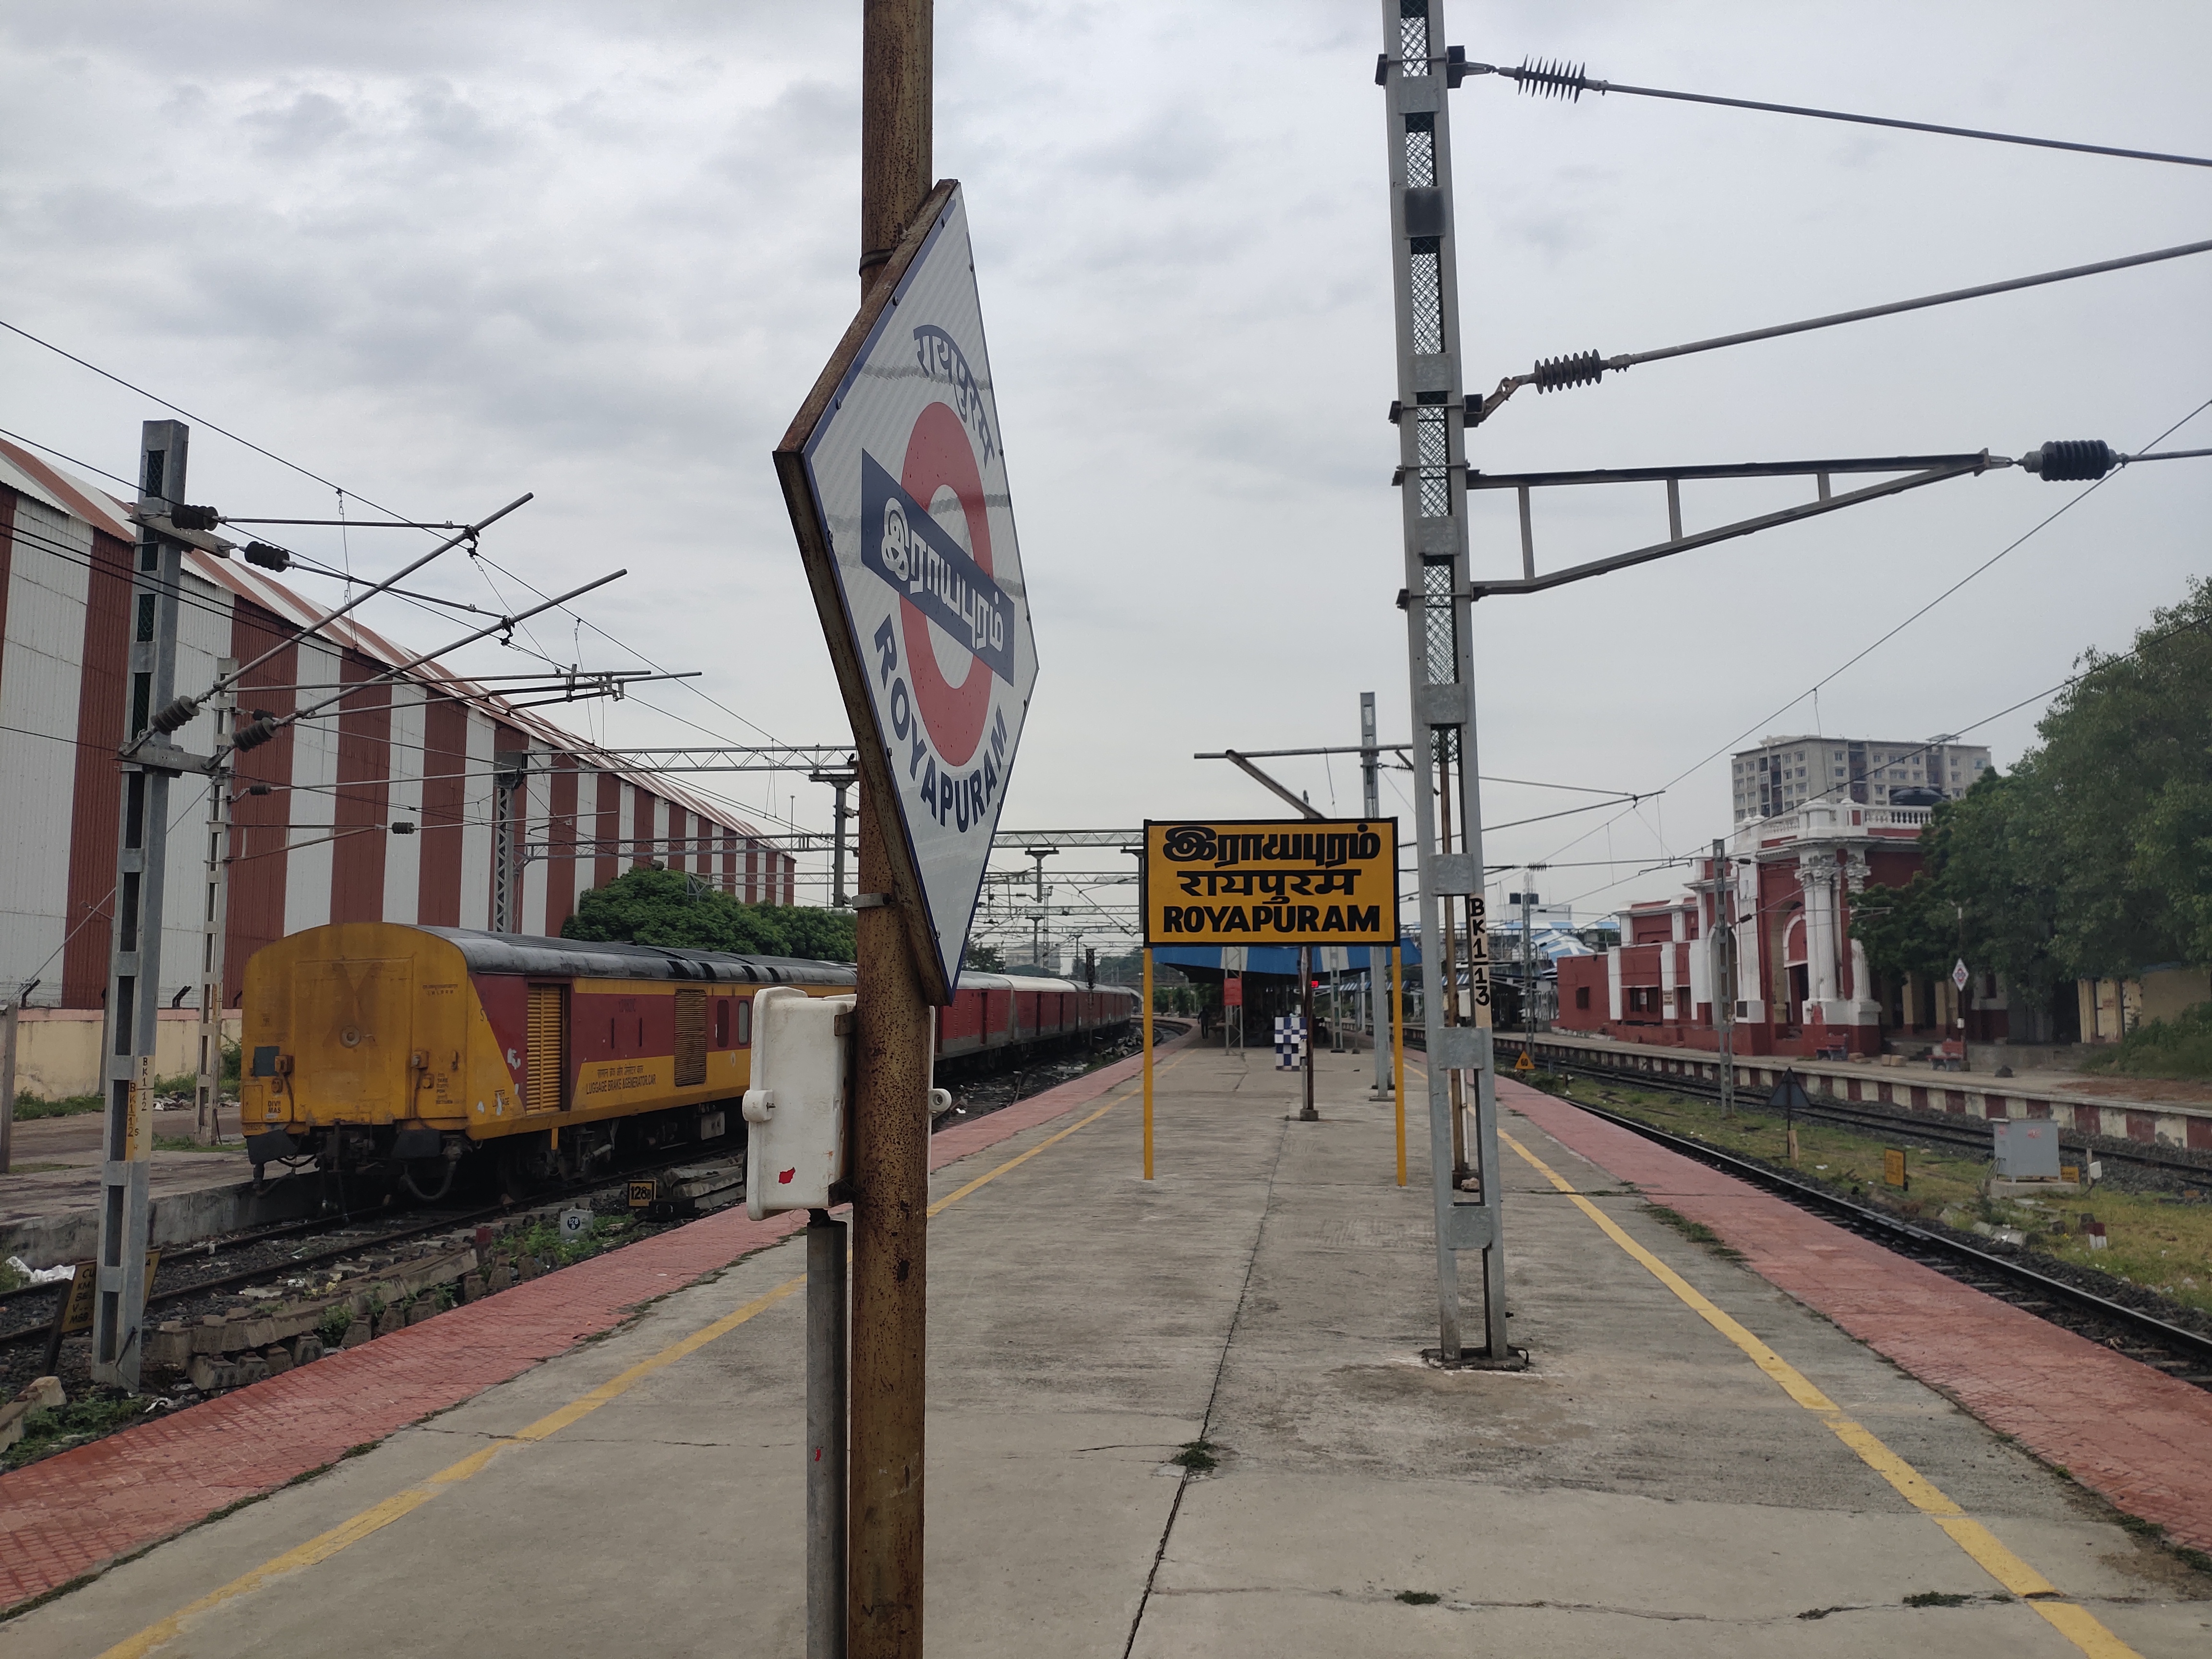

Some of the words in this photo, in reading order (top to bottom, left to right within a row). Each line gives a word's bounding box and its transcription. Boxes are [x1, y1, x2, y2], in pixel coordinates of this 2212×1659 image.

[908, 317, 998, 471] रायपुरम
[875, 494, 1006, 656] இராயபுரம்
[870, 608, 1011, 836] ROYAPURAM
[1176, 866, 1364, 907] रायपुरम
[1160, 819, 1383, 870] இராயபுரம்
[1160, 903, 1383, 936] ROYAPURAM